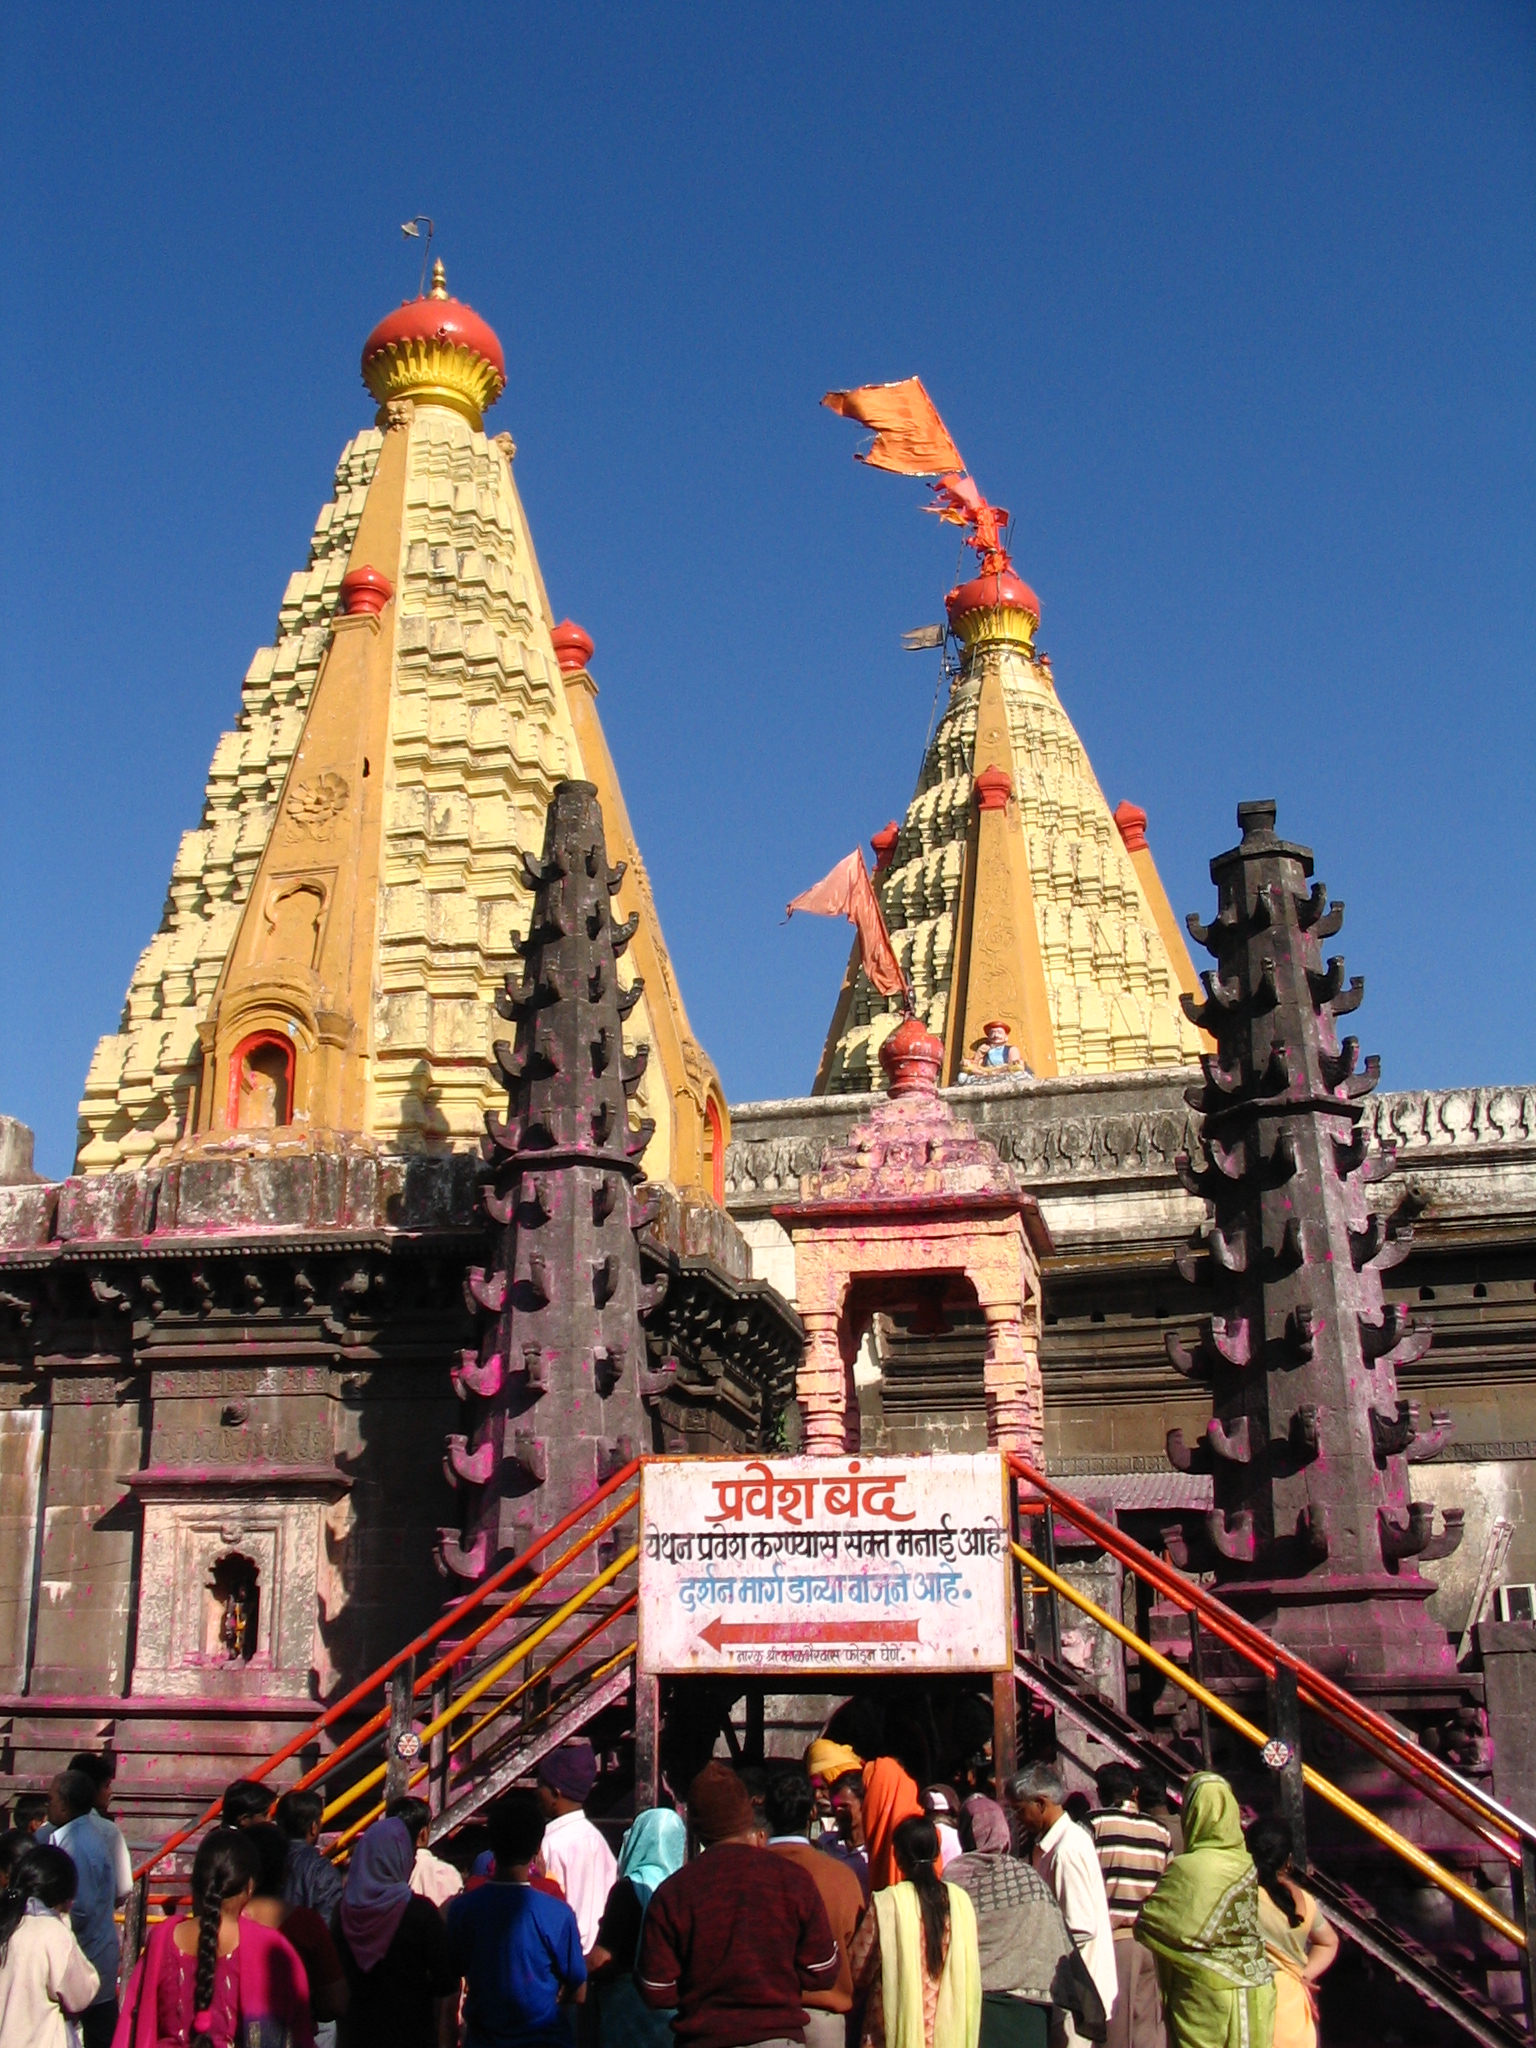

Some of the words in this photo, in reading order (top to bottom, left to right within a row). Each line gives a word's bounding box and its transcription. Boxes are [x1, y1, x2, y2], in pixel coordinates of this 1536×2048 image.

[699, 1453, 825, 1527] प्रवेश
[818, 1453, 929, 1526] बंद
[641, 1511, 703, 1567] येथून
[695, 1517, 757, 1570] प्रवेश
[749, 1523, 849, 1569] करण्यास
[840, 1523, 901, 1567] सक्त
[890, 1505, 969, 1569] मनाई
[945, 1509, 1013, 1565] आहे.
[673, 1559, 740, 1613] दर्शन
[738, 1558, 795, 1608] मार्ग
[785, 1569, 852, 1609] डाव्या
[841, 1556, 915, 1610] बाजूने
[911, 1557, 984, 1614] आहे.
[732, 1641, 767, 1667] नारळ
[757, 1639, 848, 1671] श्रीकाळभैरवास
[837, 1637, 883, 1669] फोडून
[869, 1636, 909, 1669] घेणे.